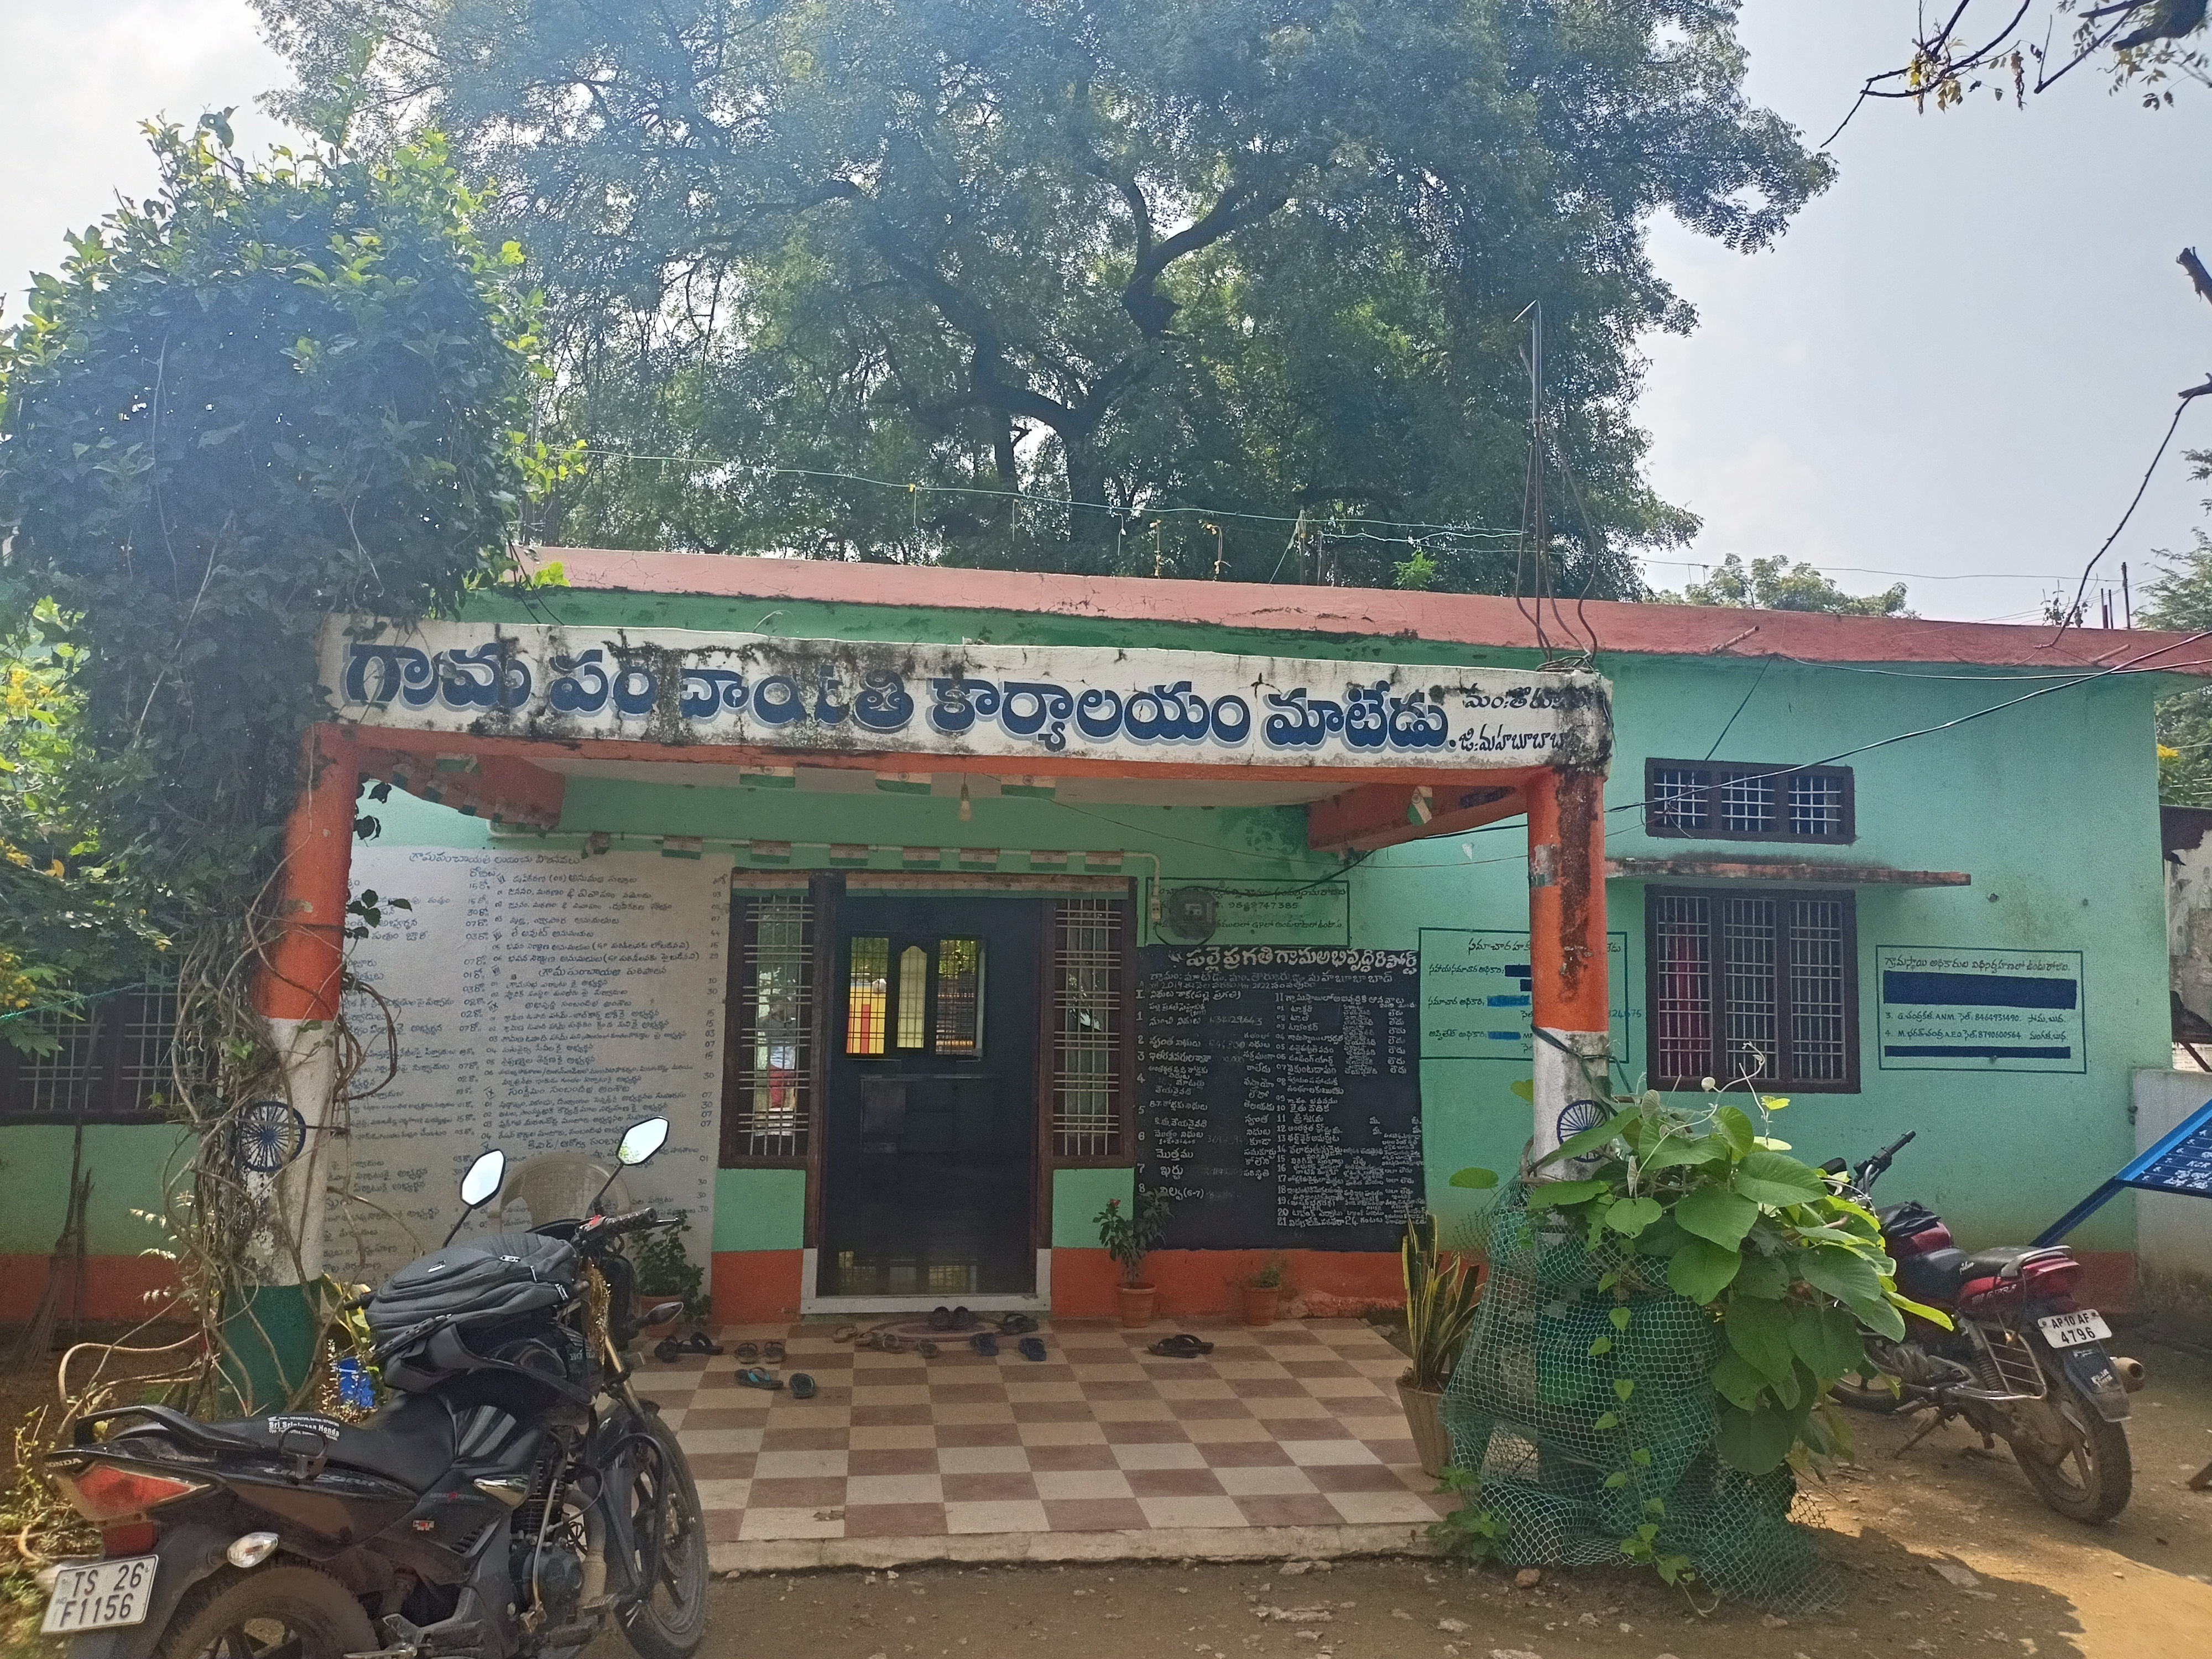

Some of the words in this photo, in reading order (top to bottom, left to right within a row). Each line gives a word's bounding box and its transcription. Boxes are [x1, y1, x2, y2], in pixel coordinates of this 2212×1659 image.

[346, 638, 535, 712] గ్రామ
[545, 645, 662, 718] పం
[675, 662, 919, 732] దాయతి
[932, 675, 1254, 755] కార్యాలయం
[1264, 679, 1452, 750] మాటేడు
[1455, 722, 1567, 754] జి.మహబూబాబా
[407, 847, 493, 867] గ్రామపంచాయతి
[531, 851, 581, 866] పౌరసేవలు
[465, 860, 500, 880] రోబిలు
[508, 870, 549, 885] డుపీకరణ
[566, 870, 607, 886] అనుమత
[504, 883, 536, 899] జననం
[533, 885, 567, 898] మరణం
[564, 886, 578, 901] &
[575, 884, 618, 900] వివాహం
[530, 900, 558, 911] మరణం
[609, 899, 648, 913] ధృవీకరణ
[530, 913, 569, 927] వ్యాపార
[516, 922, 551, 941] అవుట్
[550, 926, 598, 939] అనుమతుట
[523, 939, 553, 954] సంబ్టణ
[608, 938, 651, 952] పరిశీలనకు
[648, 939, 687, 953] లోబడినవి
[505, 951, 531, 964] భవన
[526, 949, 557, 966] నిర్మణ
[556, 951, 604, 965] అనుమతులు
[614, 950, 659, 964] పరిశీలనకు
[1165, 943, 1418, 977] పల్లె ప్రగతి గ్రామఅభివృద్ధిరిపోర్ట్
[550, 962, 623, 978] మహచాయఅ
[622, 963, 669, 978] పరిపాలన
[503, 979, 540, 991] గ్రామసభ
[502, 988, 526, 1002] స్థానిక
[518, 994, 558, 1014] అభివుద్ది
[1146, 985, 1176, 1001] నిమబ
[1208, 986, 1240, 1005] ప్రగతి
[1282, 988, 1369, 1006] గ్రామస్థాయిలో అభివృద్దికి
[499, 1030, 568, 1044] గ్రామీణ ఉపాధి హామీ
[531, 1040, 564, 1057] సేవలకై
[565, 1018, 594, 1030] పథకం
[1144, 1011, 1174, 1029] నుంచి
[1145, 1031, 1177, 1052] సృంత
[1174, 1013, 1204, 1030] నిధులు
[1173, 1036, 1205, 1051] నిధులు
[1244, 1037, 1274, 1052] నిఘట
[1286, 1040, 1337, 1057] పల్లె ప్రకృతి వనం
[1383, 1007, 1406, 1019] లేదు
[1385, 1034, 1407, 1047] లేదు
[1385, 1024, 1410, 1038] లైమ
[534, 1052, 566, 1067] శిక్షణకై
[1145, 1048, 1215, 1068] ఇతరవనగుల ద్వారా
[1239, 1048, 1277, 1065] నక్రమంగా
[1243, 1060, 1274, 1074] రాలేదు.
[1281, 1061, 1338, 1078] వైకుంటదామం
[1286, 1050, 1337, 1067] డంపింగ్ యార్డ్
[1342, 1065, 1381, 1079] చేయపనాది
[1384, 1053, 1408, 1067] లేదు
[1389, 1063, 1409, 1077] లేదు
[504, 1081, 549, 1099] సంక్షీమం
[546, 1083, 596, 1097] సంబందీర్థ
[597, 1083, 633, 1097] అంశాల
[1241, 1076, 1277, 1091] వస్తాయో
[1283, 1081, 1346, 1097] నంధూలకఋషు
[1145, 1097, 1211, 1115] 87.రోడ్లకు నిధులు
[1240, 1097, 1278, 1114] తెలియదు
[1305, 1100, 1332, 1114] వేదిక
[1308, 1095, 1340, 1106] భవనము
[1151, 1126, 1180, 1140] మొత్తం
[1151, 1115, 1210, 1131] ఒక్కవేయనైనది
[1176, 1127, 1206, 1141] నిధుల
[1241, 1110, 1270, 1128] స్వంత
[1241, 1124, 1274, 1139] నిధులు
[1284, 1123, 1316, 1136] ఆంతర్లత
[1245, 1135, 1272, 1149] కూడా
[1153, 1145, 1197, 1163] మొత్తమ
[1240, 1145, 1279, 1161] సమకూర్చు
[1156, 1163, 1187, 1181] ఖర్చు
[1241, 1164, 1271, 1183] సరిస్థితి
[1316, 1205, 1345, 1218] ఏర్పాటు
[1286, 1214, 1347, 1232] విడ్వు జేడి సకవరా